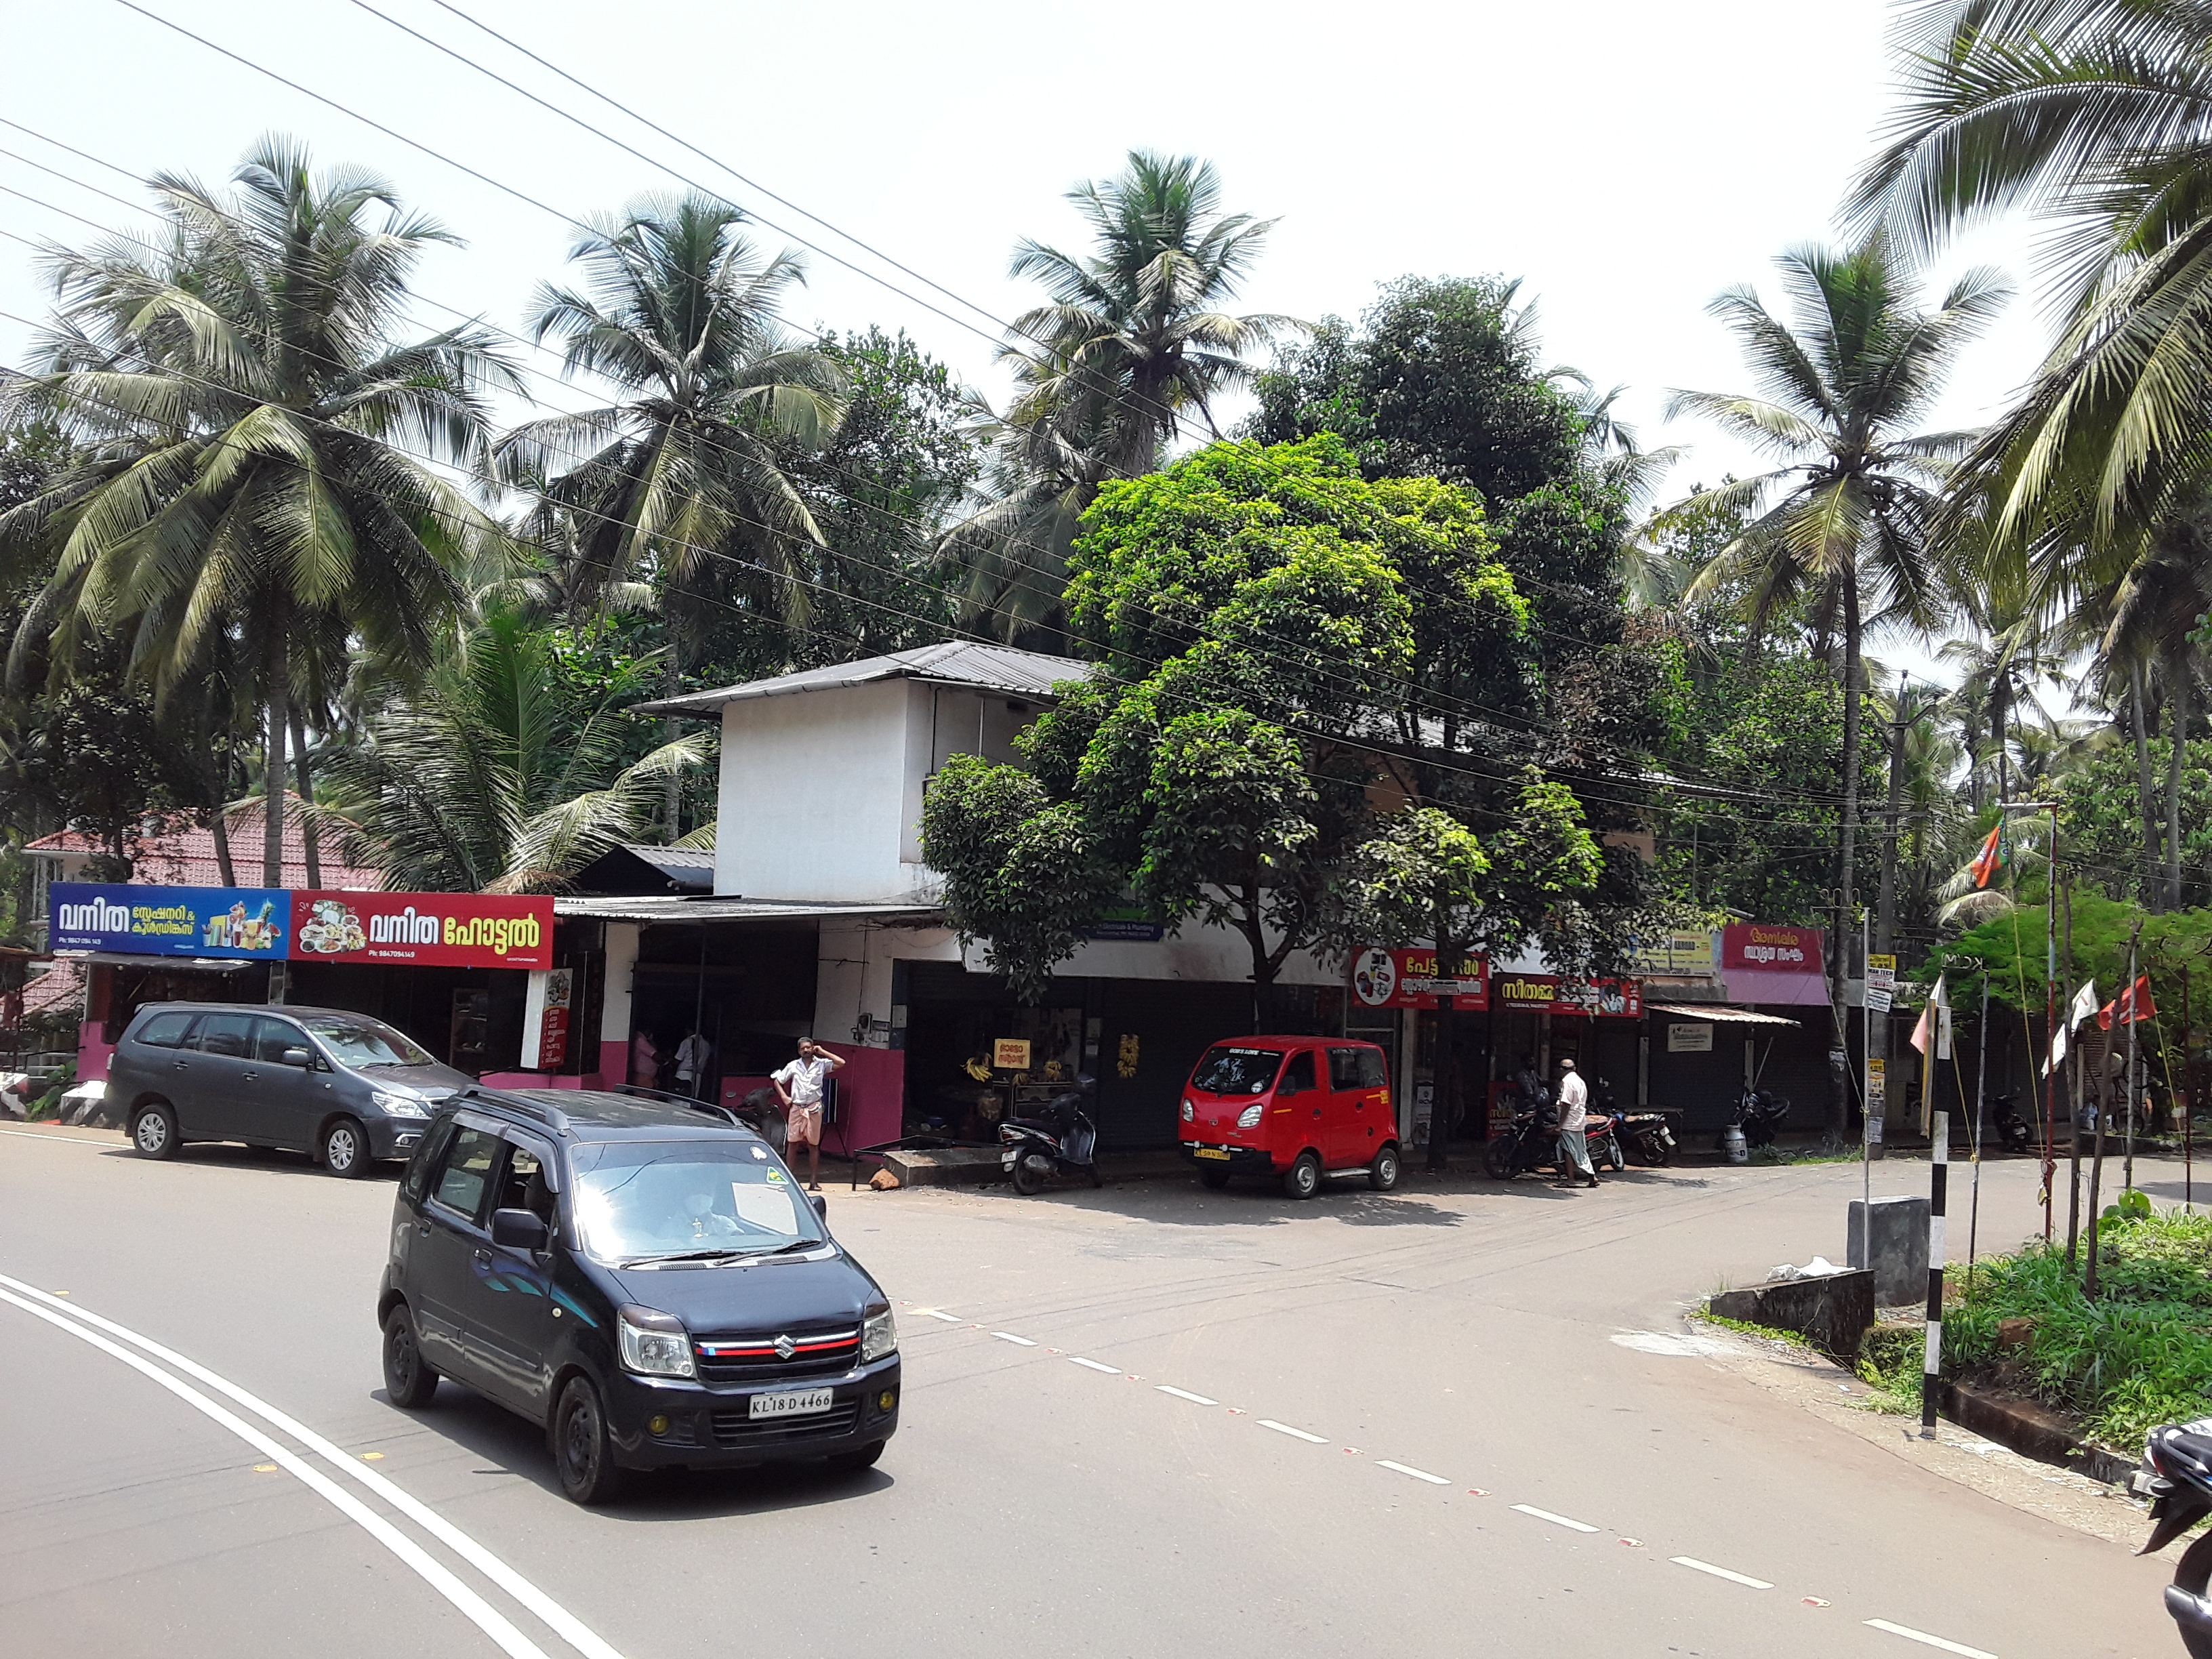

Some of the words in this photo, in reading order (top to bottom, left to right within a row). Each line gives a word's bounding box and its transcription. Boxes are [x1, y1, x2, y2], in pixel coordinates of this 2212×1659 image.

[55, 893, 132, 934] വനിത
[130, 903, 188, 925] സ്റ്റേഷനറി
[128, 918, 196, 941] കൂൾഡ്രിങ്ക്സ്
[367, 902, 441, 947] വനിത
[440, 907, 544, 960] ഹോട്ടൽ
[364, 945, 418, 960] Ph:9847094149
[1403, 951, 1482, 981] வேട്ടഠഠ
[1774, 943, 1808, 964] സംഘം
[1497, 975, 1558, 1006] സീതമ്മ
[745, 1382, 832, 1420] KL18D4466